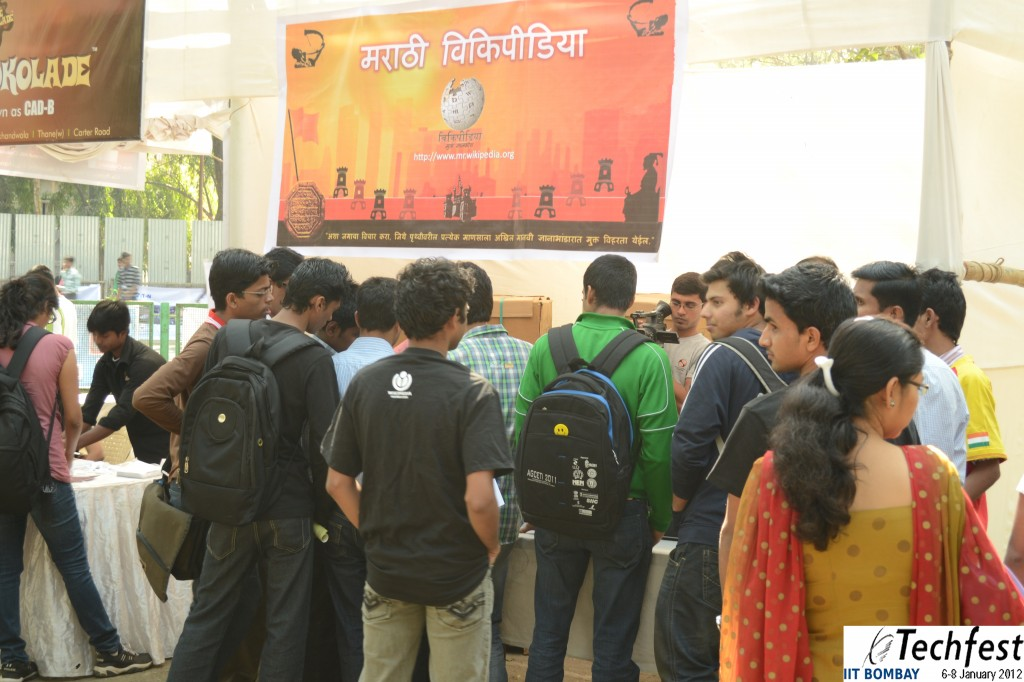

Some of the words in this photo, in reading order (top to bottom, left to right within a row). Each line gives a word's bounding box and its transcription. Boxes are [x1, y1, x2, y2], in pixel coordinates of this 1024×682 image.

[353, 31, 432, 76] मराठी
[434, 17, 591, 71] विकिपीडिया
[0, 51, 92, 97] KOLADE
[0, 103, 25, 120] as
[20, 97, 58, 120] CAD-B
[33, 120, 69, 141] Thane(w)
[70, 120, 95, 141] Carter
[91, 123, 113, 141] Road
[433, 120, 489, 145] विकिपीडिया
[410, 147, 519, 167] http://www.mr.wikipedia.org
[321, 228, 343, 244] "अशा
[333, 229, 362, 245] जमावा
[355, 227, 382, 245] विचार
[375, 229, 393, 244] करा.
[388, 224, 409, 244] जिये
[403, 227, 442, 247] पृथ्वीवरील
[437, 225, 465, 248] प्रत्येक
[459, 229, 495, 245] माणसाला
[490, 227, 518, 247] अखिल
[513, 226, 539, 245] मानवी
[534, 228, 585, 246] ज्ञानाभांडारात
[583, 232, 602, 251] मुक्त
[598, 226, 633, 251] विहरता
[627, 229, 654, 248] येईल,
[895, 622, 1024, 669] Techfest
[840, 663, 865, 681] IIT
[862, 663, 923, 681] BOMBAY
[937, 664, 1000, 681] 6-8January
[995, 663, 1024, 681] 2012